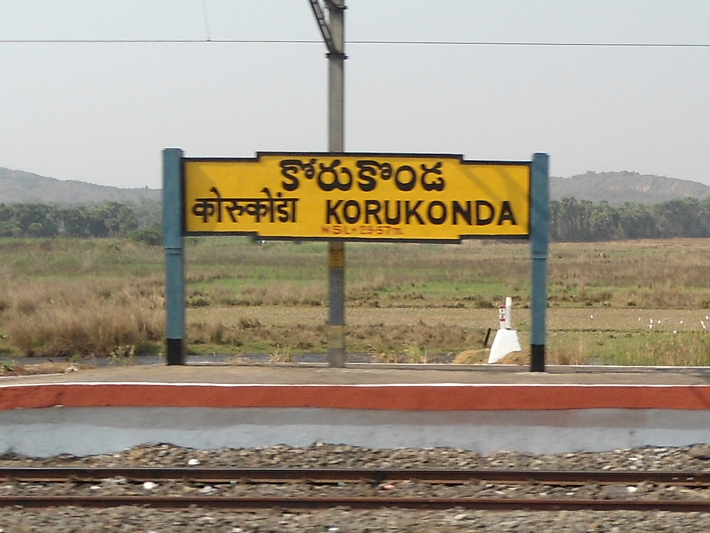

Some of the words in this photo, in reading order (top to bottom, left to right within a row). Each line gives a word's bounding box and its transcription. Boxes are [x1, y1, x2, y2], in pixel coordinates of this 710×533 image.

[269, 143, 449, 197] కోరుకొండ
[186, 177, 302, 229] कोरुकोंडा
[320, 194, 521, 230] KORUKONDA